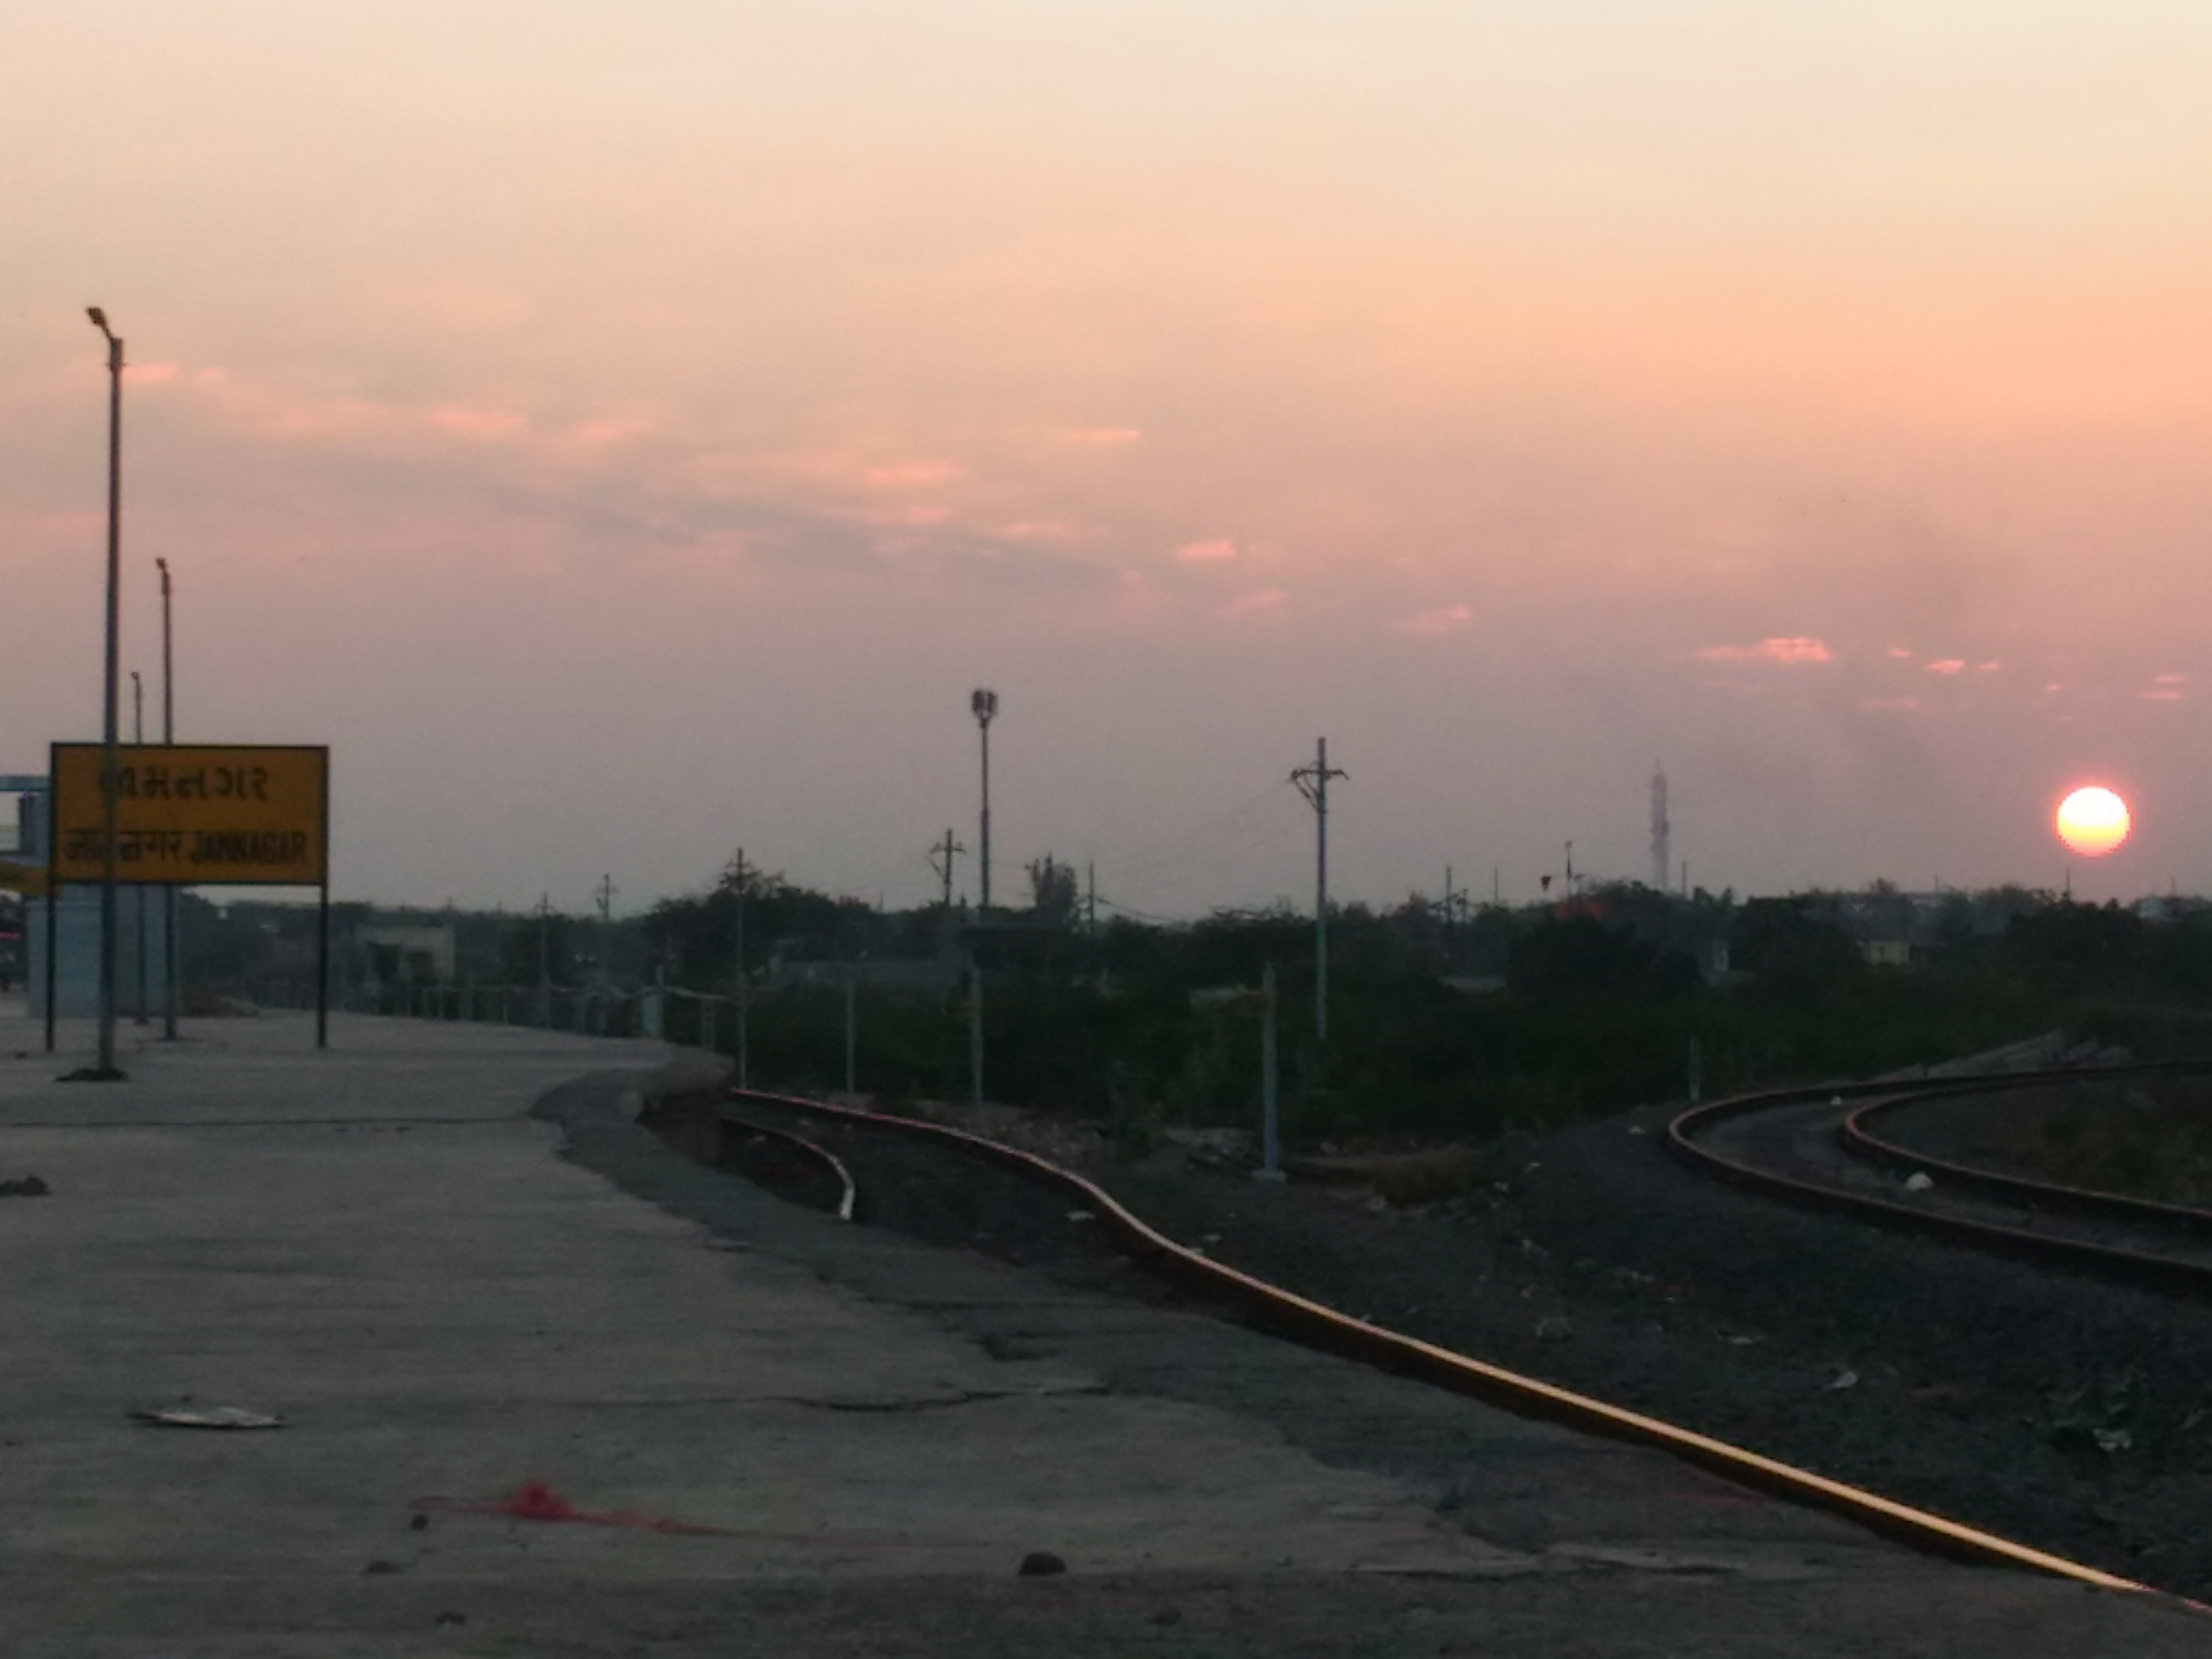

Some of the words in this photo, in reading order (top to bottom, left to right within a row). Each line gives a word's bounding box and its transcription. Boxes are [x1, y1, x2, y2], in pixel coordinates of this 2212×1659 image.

[94, 763, 270, 807] જામનગર
[117, 825, 188, 867] नगर
[186, 827, 312, 867] JANNAGAR